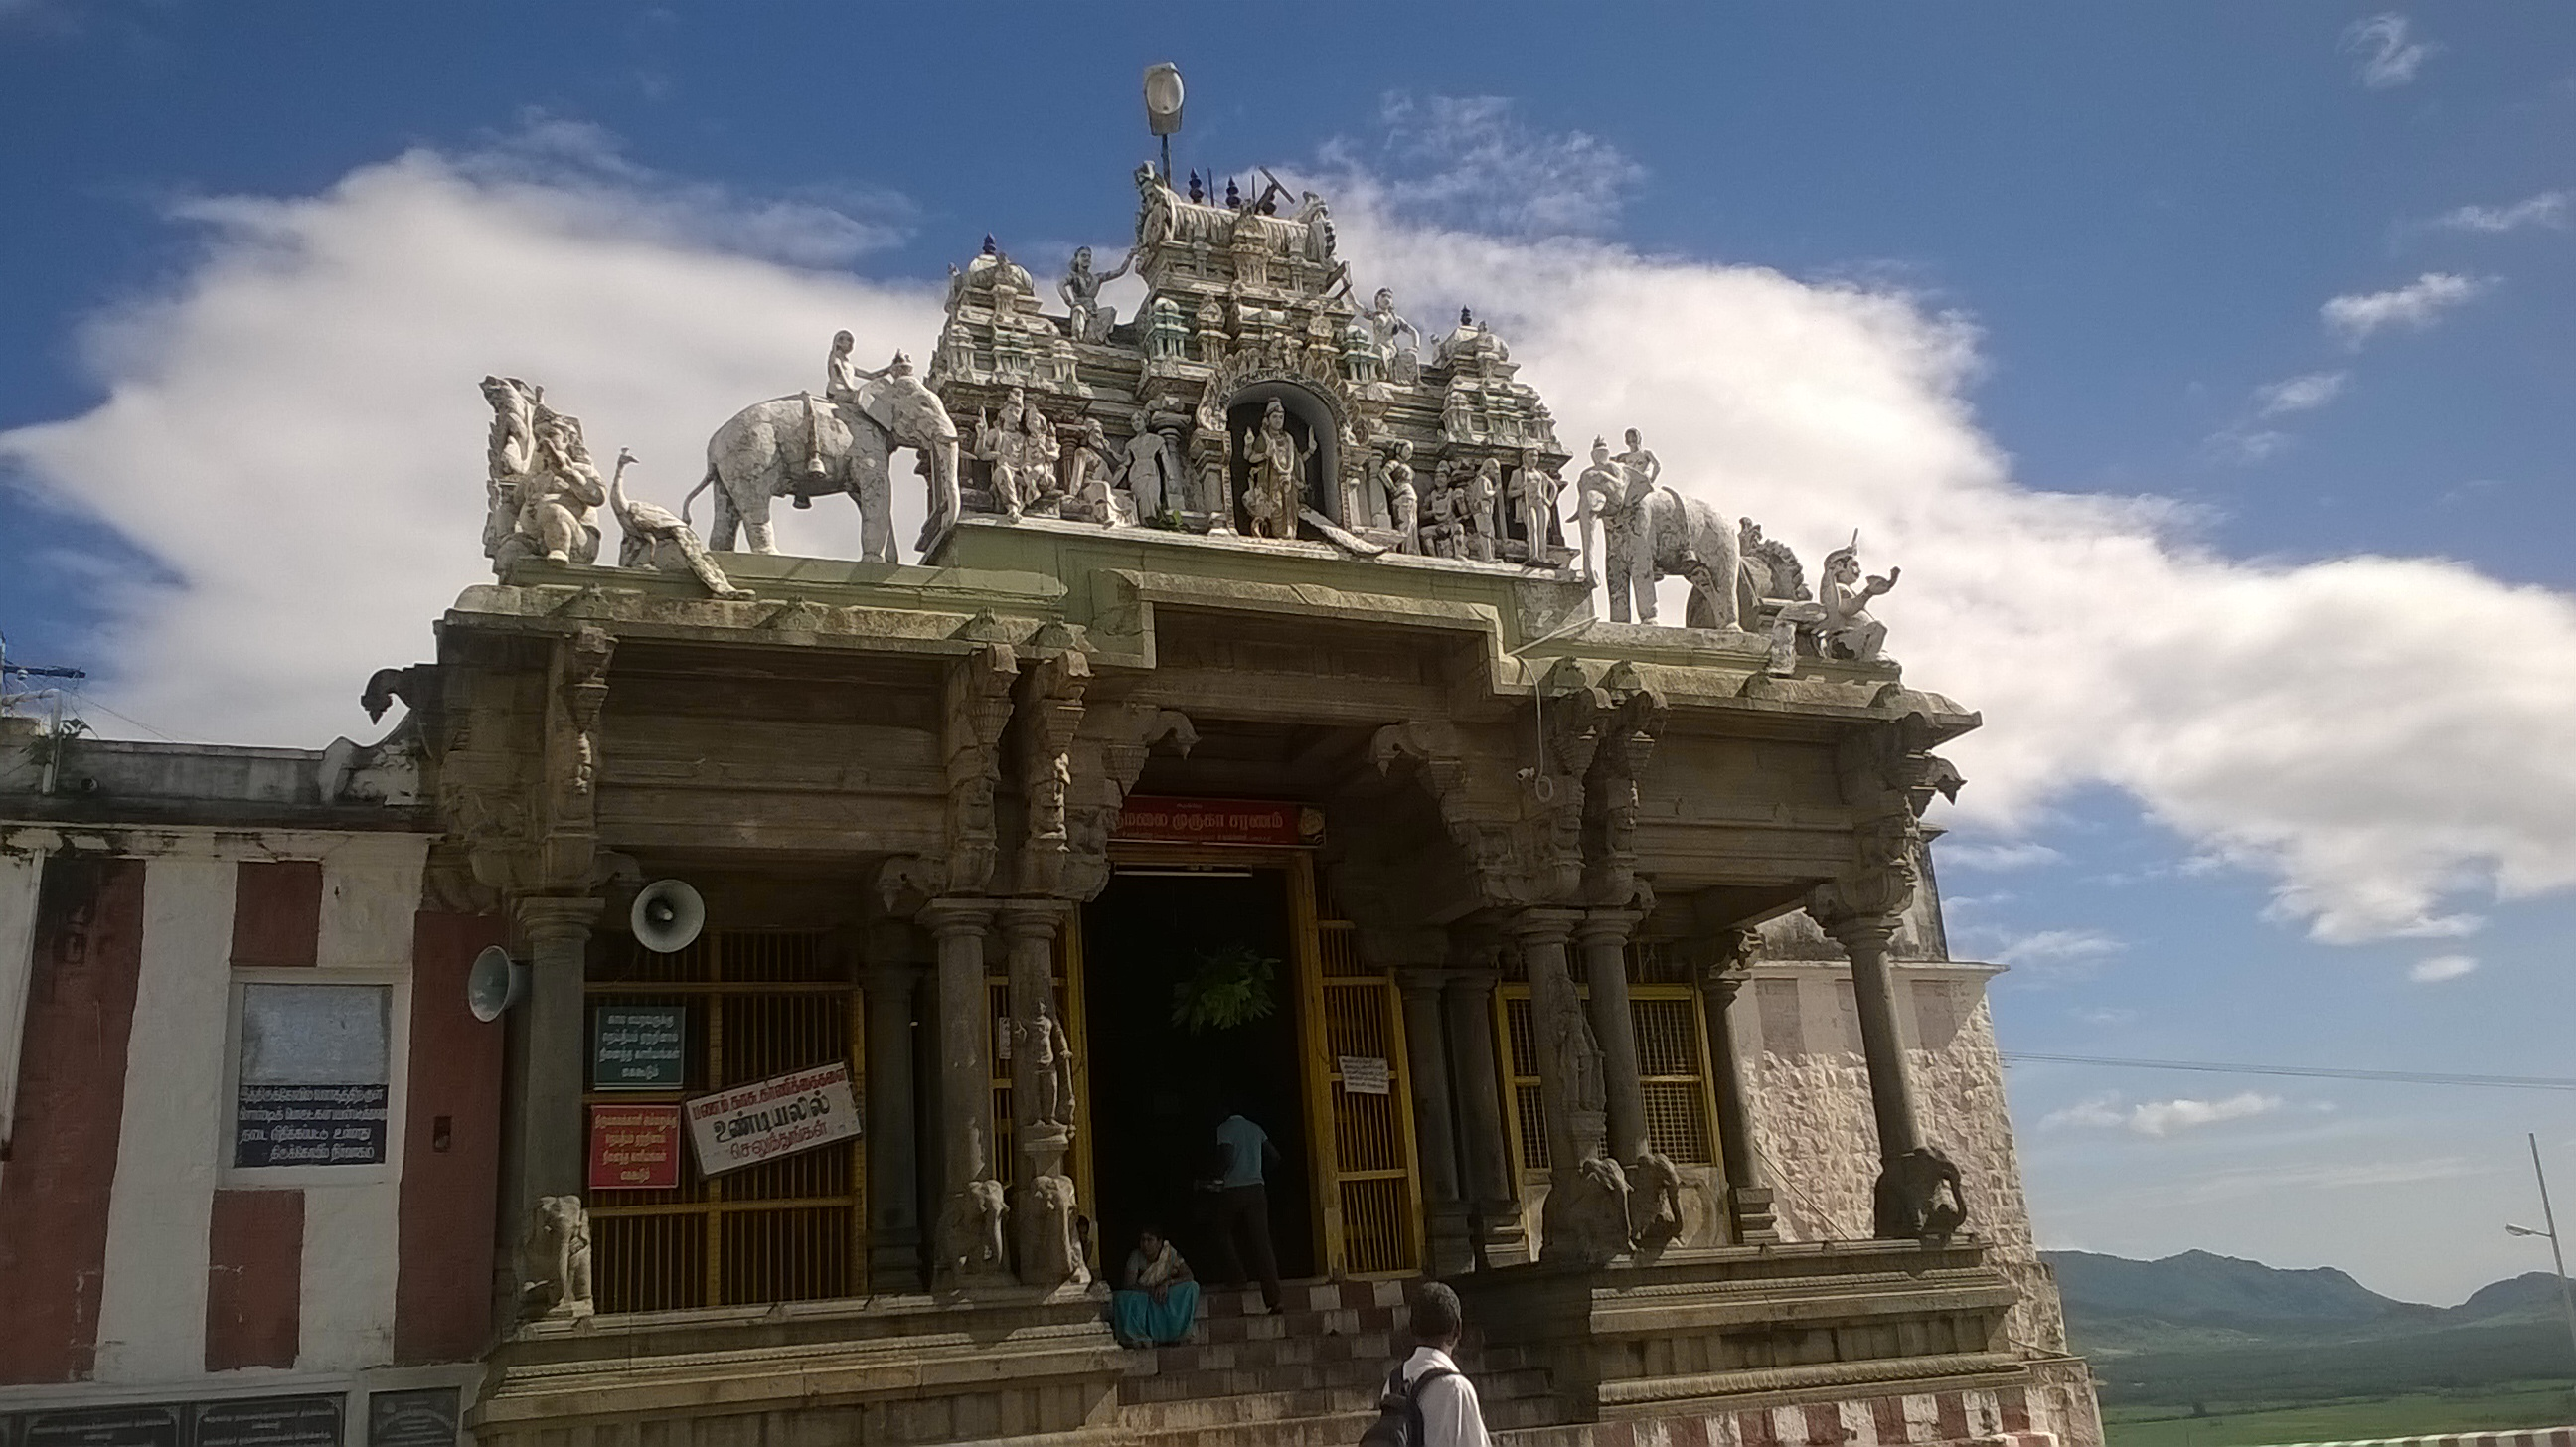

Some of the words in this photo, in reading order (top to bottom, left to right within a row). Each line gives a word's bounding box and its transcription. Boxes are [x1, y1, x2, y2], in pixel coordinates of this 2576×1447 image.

[1111, 807, 1173, 834] திருமலை
[1168, 809, 1229, 835] முருகா
[724, 1061, 849, 1114] காசு காணிக்கைகளை
[707, 1086, 833, 1148] உண்டியலில்
[234, 1126, 272, 1146] தடை
[266, 1134, 335, 1164] திருக்கோவில்
[724, 1115, 834, 1162] செலுத்துங்கள்